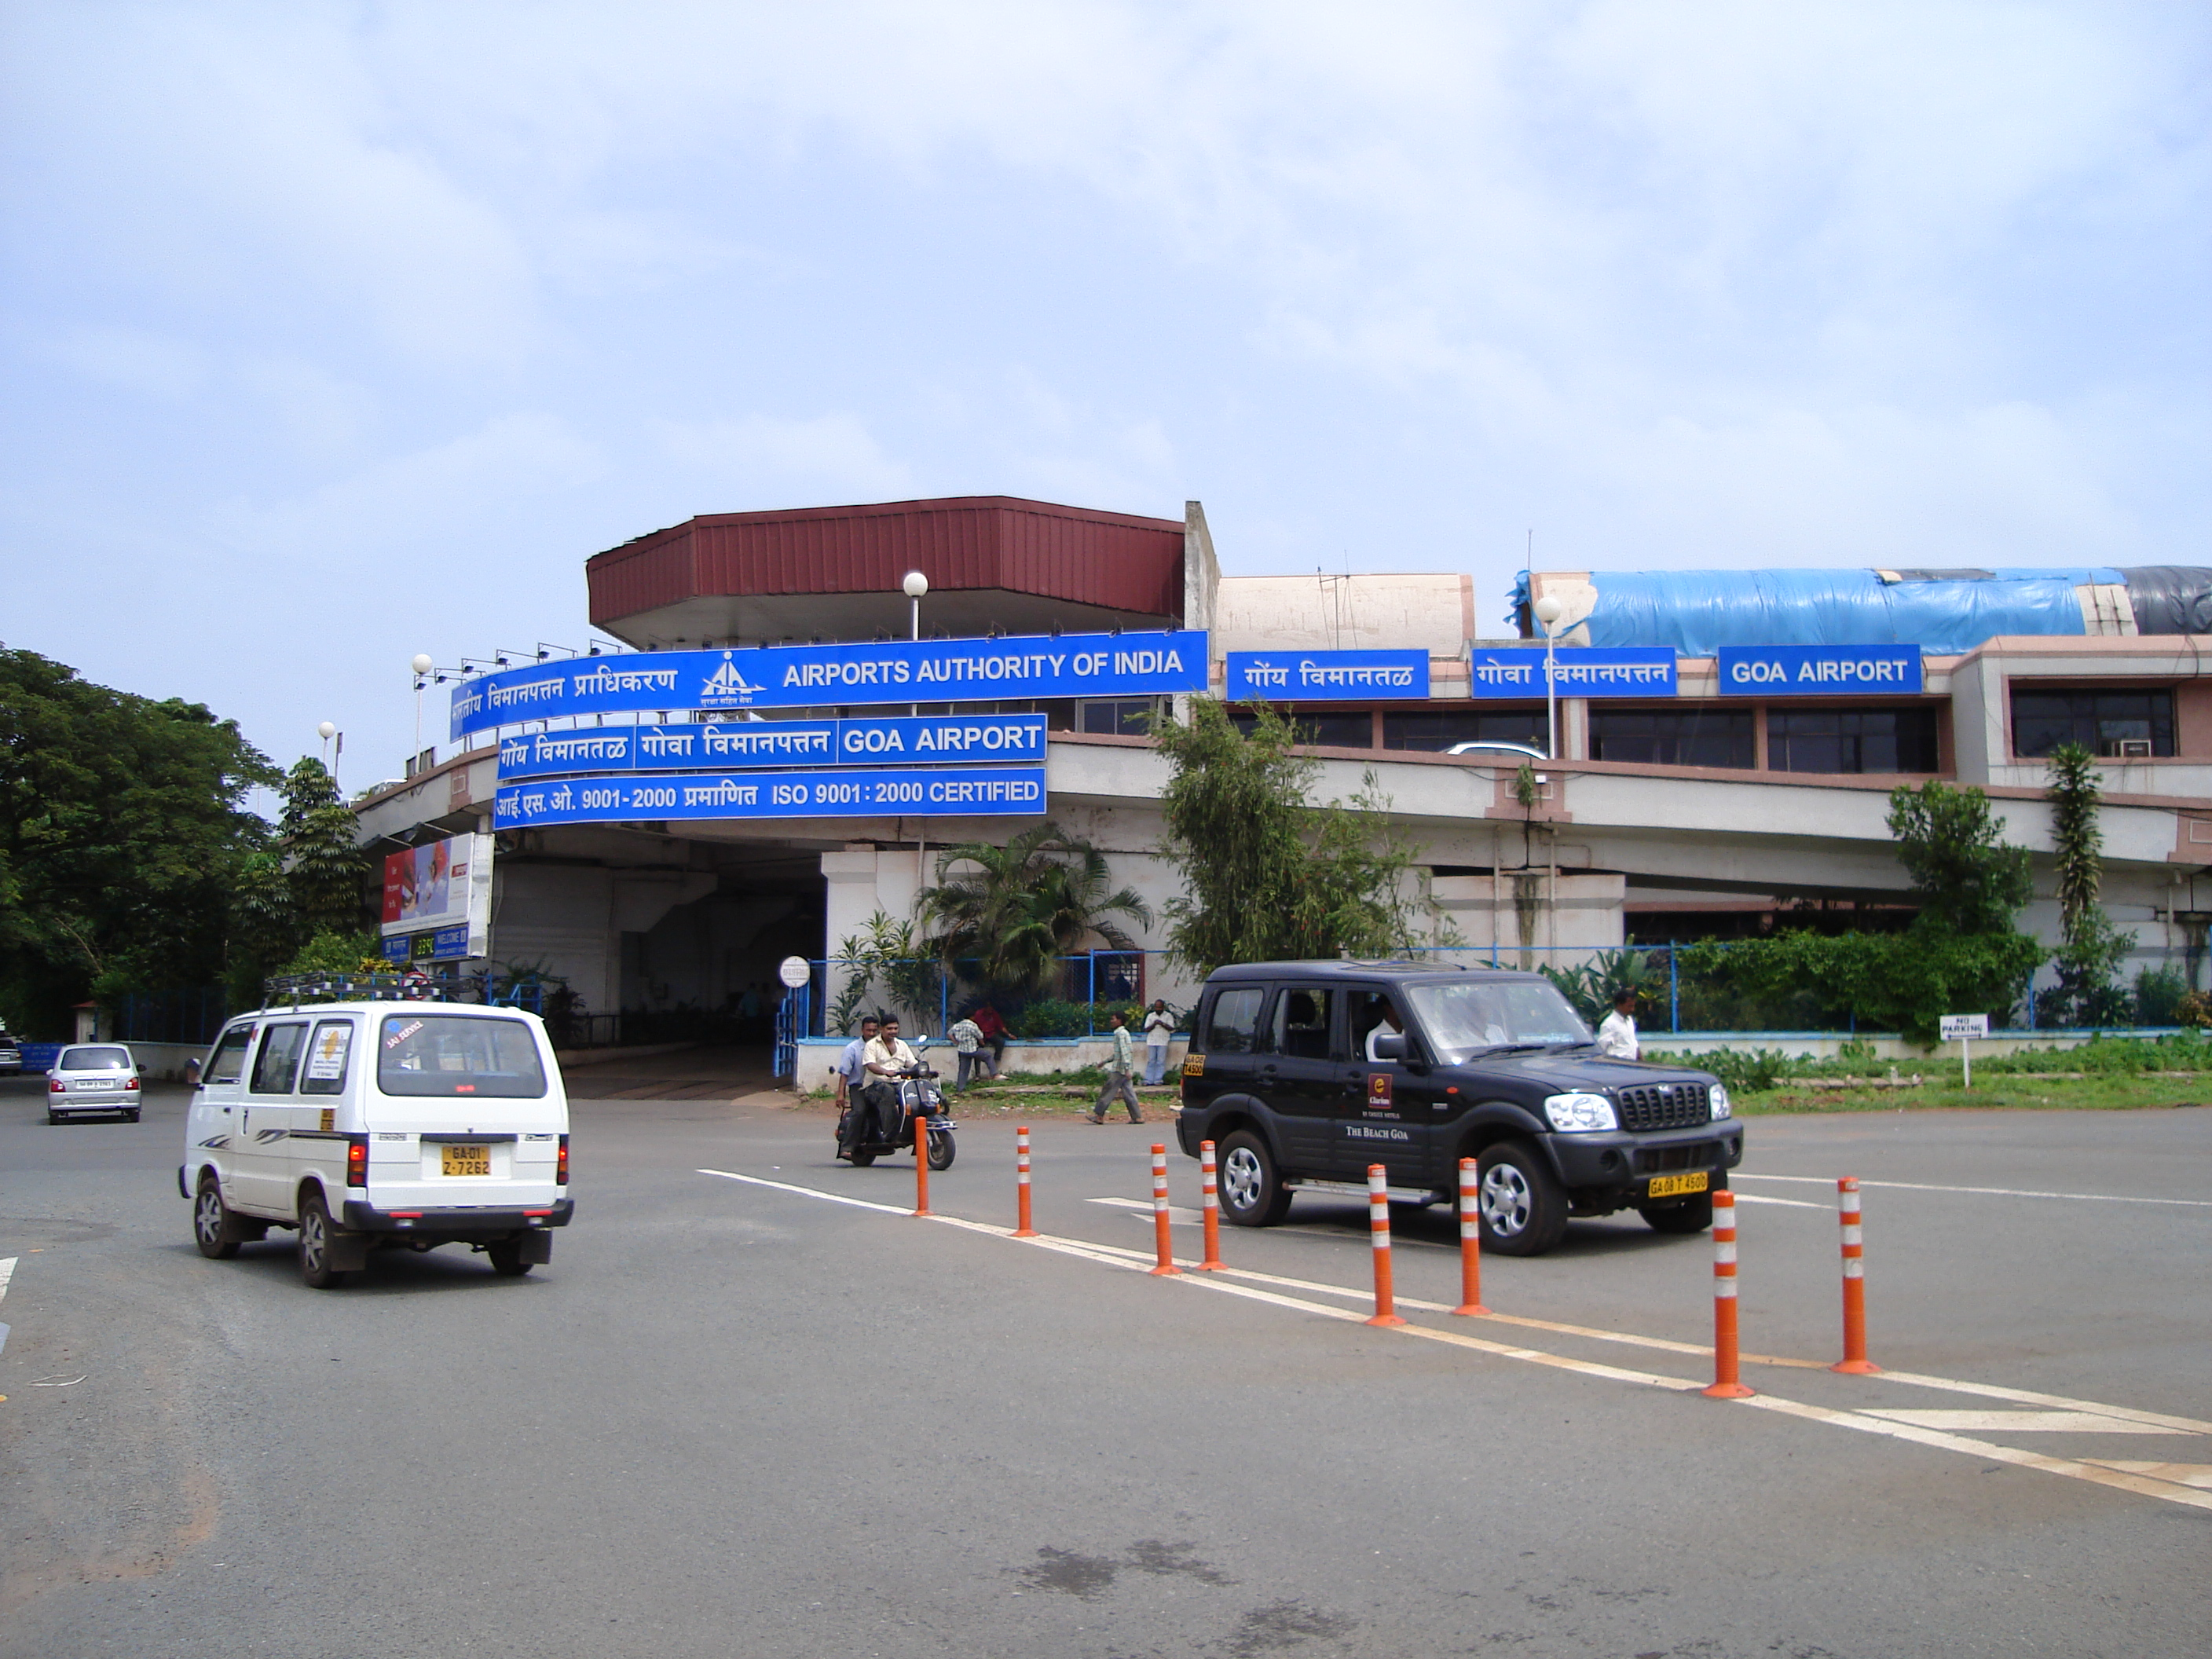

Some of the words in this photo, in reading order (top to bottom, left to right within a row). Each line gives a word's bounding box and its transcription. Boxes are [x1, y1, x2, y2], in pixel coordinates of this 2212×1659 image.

[442, 685, 486, 728] भारतीय
[480, 670, 572, 709] विमानपत्तन
[570, 654, 685, 700] प्राधिकरण
[782, 654, 916, 694] AIRPORTS
[915, 647, 1070, 685] AUTHORITY
[1071, 645, 1111, 679] OF
[1108, 643, 1186, 681] INDIA
[1240, 656, 1287, 690] गोंय
[1291, 654, 1415, 690] विमानतळ
[1472, 656, 1532, 692] गोवा
[1533, 648, 1672, 686] विमानपत्तन
[1726, 651, 1790, 687] GOA
[1797, 654, 1906, 685] AIRPORT
[496, 733, 533, 771] गोंय
[531, 729, 631, 763] विमानतळ
[639, 718, 697, 760] गोवा
[692, 719, 833, 757] विमानपत्तन
[840, 720, 908, 756] GOA
[914, 719, 1046, 754] AIRPORT
[496, 778, 578, 822] आई.एस.ओ.
[580, 782, 681, 811] 9001-2000
[682, 773, 763, 808] प्रमाणित
[768, 778, 812, 808] ISO
[813, 775, 929, 806] 9001:2000
[927, 776, 1046, 804] CERTIFIED